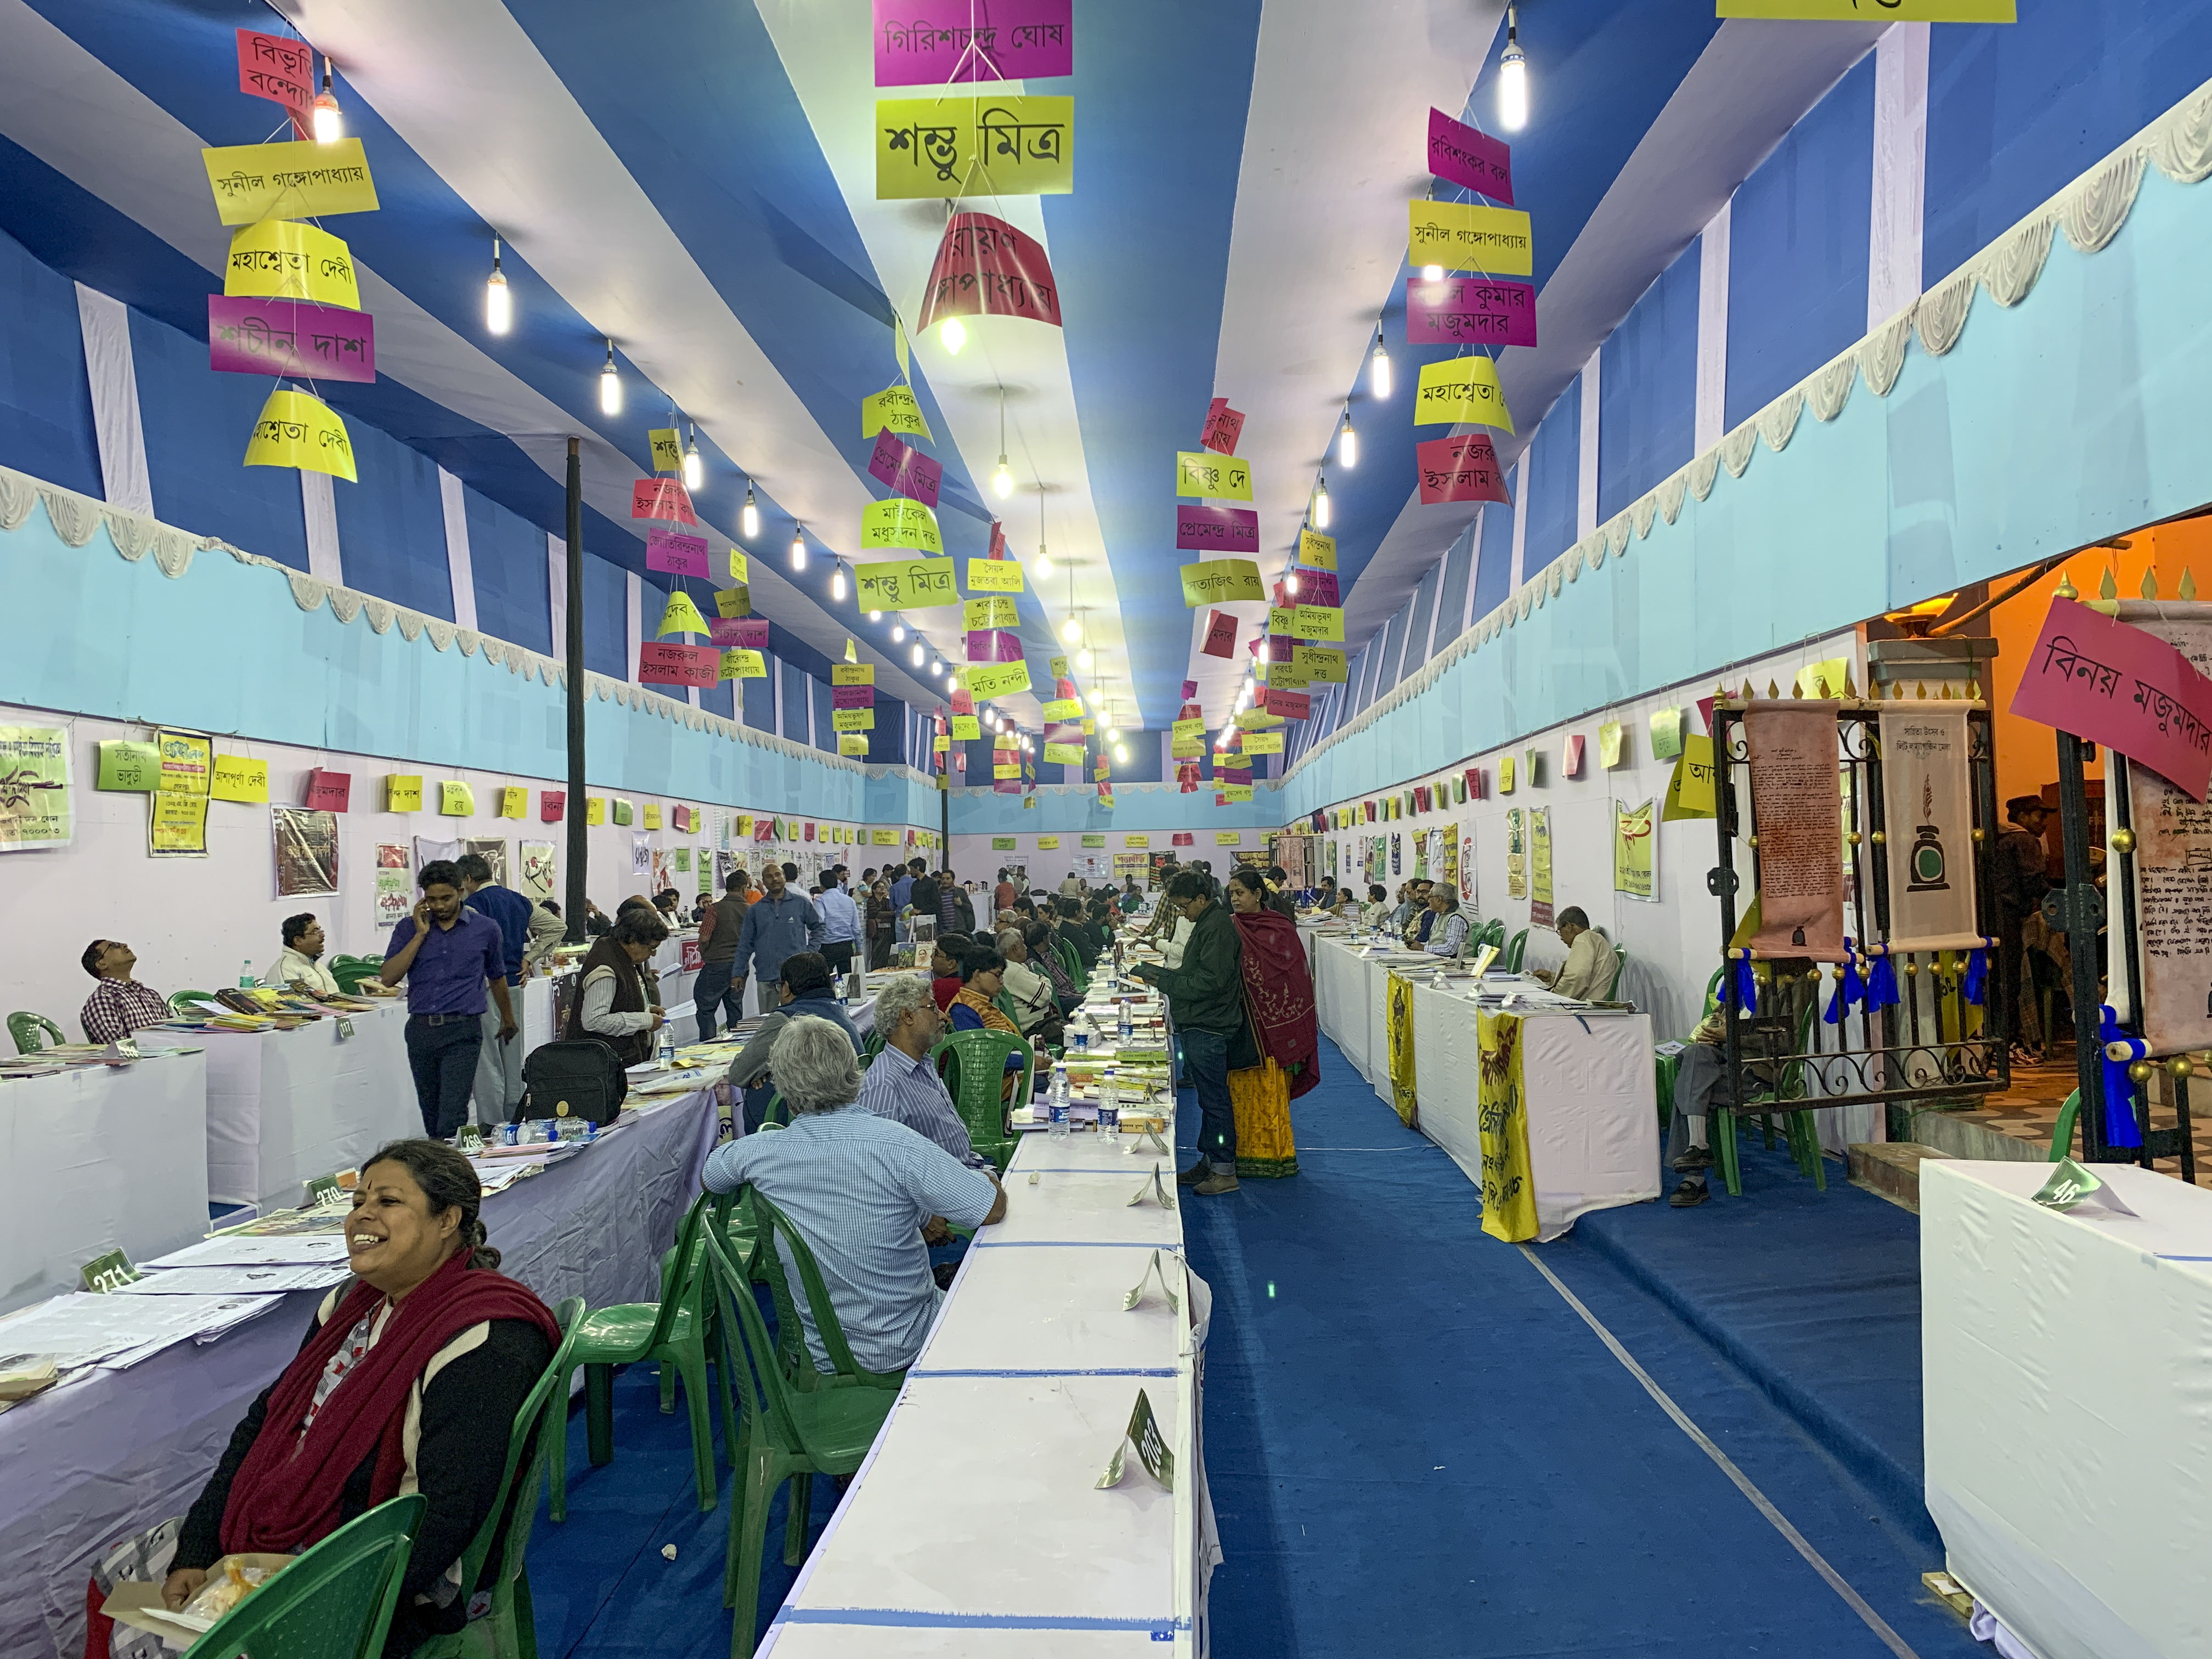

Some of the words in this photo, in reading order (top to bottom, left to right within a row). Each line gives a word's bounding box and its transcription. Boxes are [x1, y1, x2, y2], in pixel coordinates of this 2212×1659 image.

[879, 12, 999, 55] গিরিশচন্দ্র
[247, 26, 318, 83] বিভূ
[246, 65, 318, 116] বন্দ্যোপ
[974, 97, 1067, 166] মিত্র
[882, 117, 963, 190] শম্ভু
[934, 222, 1021, 269] রায়ণ
[1412, 213, 1453, 247] সুনীল
[1453, 229, 1527, 249] গঙ্গোপাধ্যায়
[228, 244, 315, 278] মহাশ্বেতা
[318, 253, 357, 286] দেবী
[924, 268, 1054, 318] গঙ্গোপাধ্যায়
[1475, 283, 1528, 314] কুমার
[216, 312, 298, 358] শচীন
[1423, 311, 1514, 342] মজুমদার
[310, 327, 368, 367] দাশ
[873, 386, 918, 410] রবীন্দ্রন
[1416, 375, 1498, 408] মহাশ্বেতা
[889, 404, 923, 431] ঠাকুর
[249, 415, 313, 446] শ্বেতা
[314, 427, 351, 458] দেবী
[1447, 438, 1499, 465] নজরু
[871, 443, 912, 482] প্রেমে
[909, 463, 939, 496] মিত্র
[1174, 452, 1224, 498] বিষ্ণু
[1224, 462, 1248, 493] দে
[1420, 461, 1491, 495] ইসলাম
[651, 481, 687, 503] নজরুন
[631, 492, 679, 516] ইসলাম্
[880, 499, 929, 524] মাইকেল
[646, 529, 705, 558] জ্যোতিরিন্দ্রনাথ
[870, 522, 919, 546] মধুসূদন
[917, 527, 939, 548] দত্ত
[1177, 520, 1227, 539] প্রেমেন্দ্র
[1226, 513, 1258, 540] মিত্র
[1304, 531, 1333, 551] সুধীন্দ্রনাথ
[663, 548, 690, 571] ঠাকুর
[860, 572, 905, 608] শম্ভু
[902, 559, 951, 596] মিত্র
[969, 573, 1000, 589] মুজতবা
[979, 561, 1006, 578] সৈয়দ
[999, 573, 1023, 590] আলি
[1185, 569, 1237, 596] সত্যজিৎ
[1242, 572, 1261, 589] রায়
[1290, 572, 1335, 592] শৈলজানন্দ
[1295, 583, 1336, 601] মুখোপাধ্যায়
[1311, 552, 1327, 569] দত্ত
[972, 593, 1010, 612] শরংচন্ত্র
[710, 622, 744, 642] শচীন
[740, 625, 768, 641] দাশ
[969, 611, 994, 628] চট্টে
[991, 612, 1019, 625] পাধ্যায়
[1204, 625, 1236, 645] মদার
[1268, 607, 1292, 633] বিষ্ণু
[1299, 619, 1330, 639] মজুমদার
[1298, 605, 1333, 626] অমিয়ভূষণ
[636, 658, 681, 676] ইসলাম
[656, 646, 699, 662] নজরুল
[682, 660, 719, 684] কাজী
[721, 649, 751, 667] বীরেন্দ্র
[716, 662, 762, 679] চট্টোপাধ্যায়
[830, 687, 870, 701] শৈলজানন্দ
[840, 673, 862, 685] ঠাকুর
[832, 695, 870, 709] মুখোপাধ্যায়
[838, 663, 866, 675] রবীন্দ্রনাথ
[965, 670, 998, 698] মতি
[996, 664, 1030, 689] নন্দী
[1266, 692, 1285, 709] বিনয়
[1271, 661, 1294, 675] শরৎচ
[1269, 674, 1308, 689] চট্টোপাধ্যায়
[1282, 698, 1311, 712] মজুমদার
[1311, 665, 1329, 680] দত্ত
[1301, 646, 1341, 667] সুধীন্দ্রনাথ
[2039, 629, 2125, 703] বিনয়
[111, 742, 150, 765] সতীনাথ
[834, 709, 866, 724] অমিয়ভূষণ
[838, 718, 865, 730] মজুমদার
[951, 718, 974, 736] বুদ্ধদেব
[1045, 747, 1070, 762] বুদ্ধদেব
[1169, 721, 1195, 737] বুদ্ধদেব
[1191, 719, 1205, 733] বসু
[1242, 739, 1266, 755] মুজতবা
[1243, 712, 1268, 727] সত্যজিৎ
[1249, 731, 1270, 747] সৈয়দ
[1265, 738, 1284, 751] আলি
[1900, 722, 1925, 739] সাহিত্য
[1893, 737, 1939, 753] লিট্লম্যাগাজিন
[1920, 723, 1946, 738] উৎসব ও
[1936, 740, 1955, 754] মেলা
[2131, 676, 2212, 758] মজুমদার
[114, 760, 145, 788] ভাদুড়ী
[213, 768, 247, 788] আশাপূর্ণা
[246, 769, 268, 791] দেবী
[308, 782, 349, 802] জুমদার
[400, 786, 422, 802] দাশ
[450, 796, 467, 814] রায়
[538, 794, 566, 815] বিনয়
[1236, 849, 1272, 861] আনন্দধারা